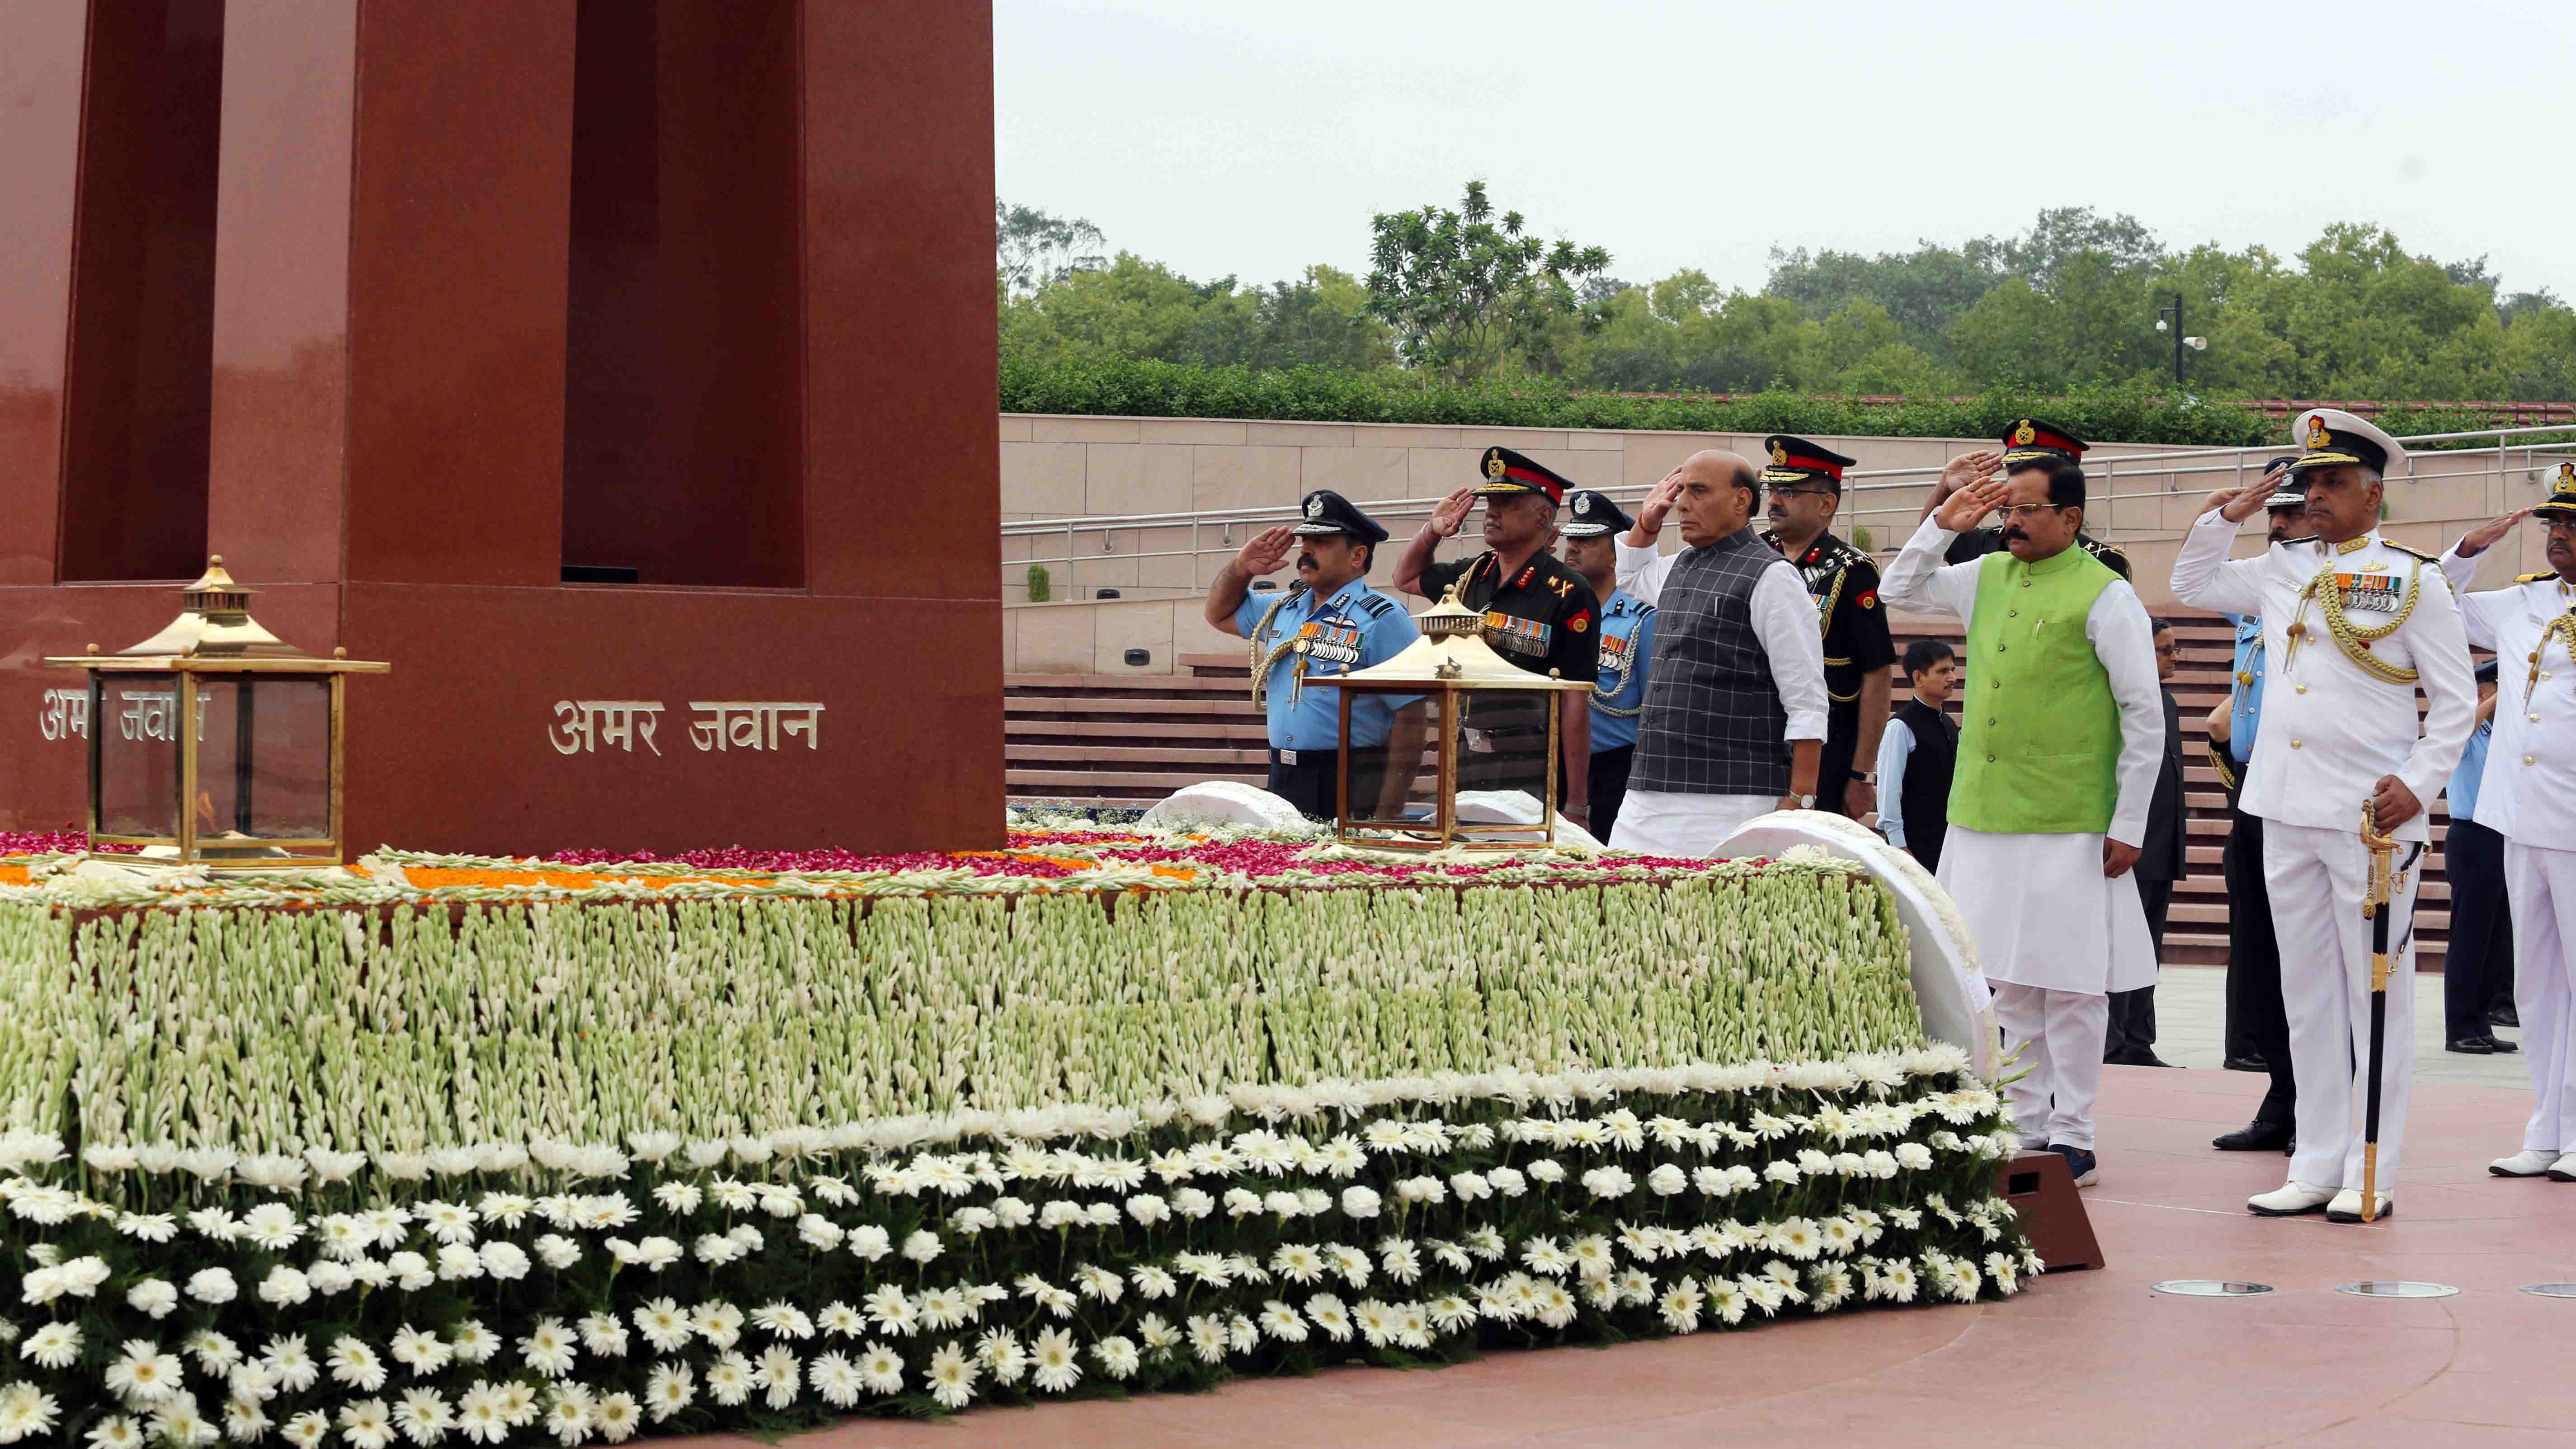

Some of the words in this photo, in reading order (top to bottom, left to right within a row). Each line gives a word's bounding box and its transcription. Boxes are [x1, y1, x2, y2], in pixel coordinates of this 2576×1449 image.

[36, 685, 110, 746] अम
[118, 686, 213, 747] जवान
[545, 696, 667, 759] अमर
[683, 699, 826, 760] जवान